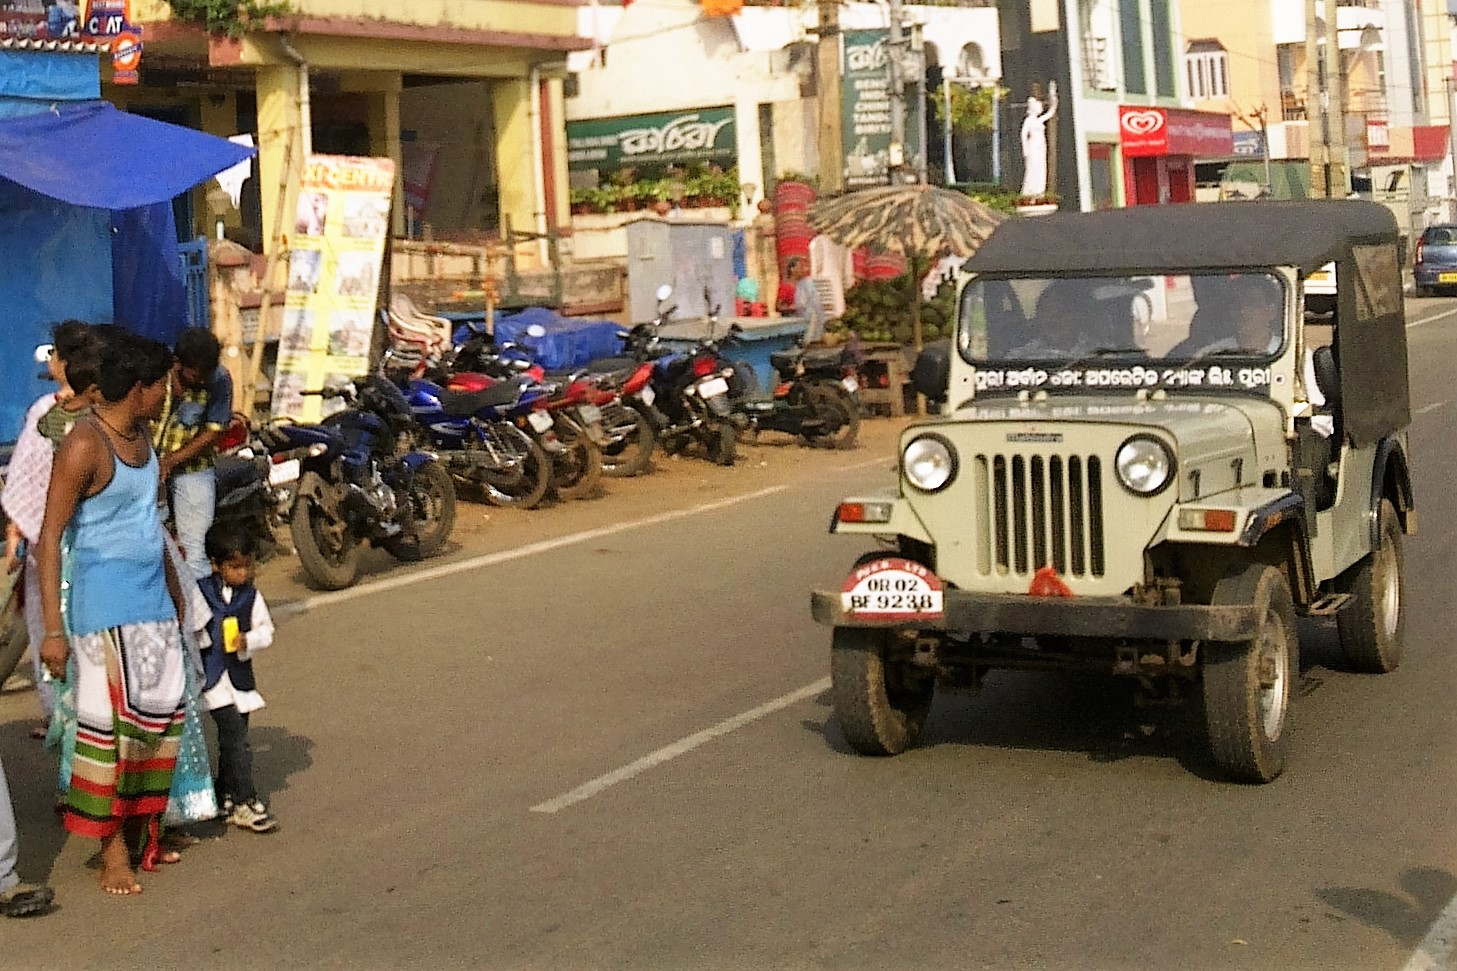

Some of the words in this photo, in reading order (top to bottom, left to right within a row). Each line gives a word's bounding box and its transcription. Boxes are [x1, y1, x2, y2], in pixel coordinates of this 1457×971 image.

[1081, 361, 1163, 393] ଅପରେଟିକ
[1231, 361, 1276, 393] ପୂରୀ
[858, 574, 922, 596] OR 02
[844, 587, 937, 613] BF9238